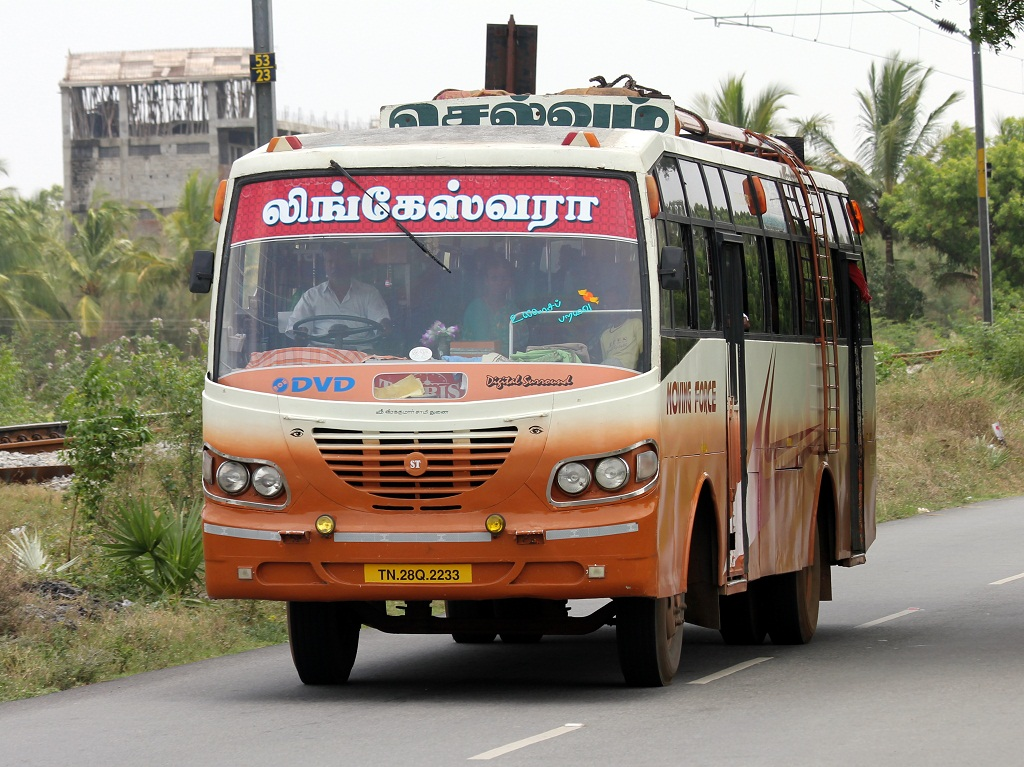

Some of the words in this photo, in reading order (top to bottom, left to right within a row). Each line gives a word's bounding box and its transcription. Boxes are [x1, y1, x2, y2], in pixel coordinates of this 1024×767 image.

[260, 177, 601, 234] லிங்கேஸ்வரா
[483, 369, 577, 391] digital surround
[664, 378, 697, 418] MOVING
[691, 377, 721, 418] FORCE
[377, 566, 467, 586] TN.28Q.2233